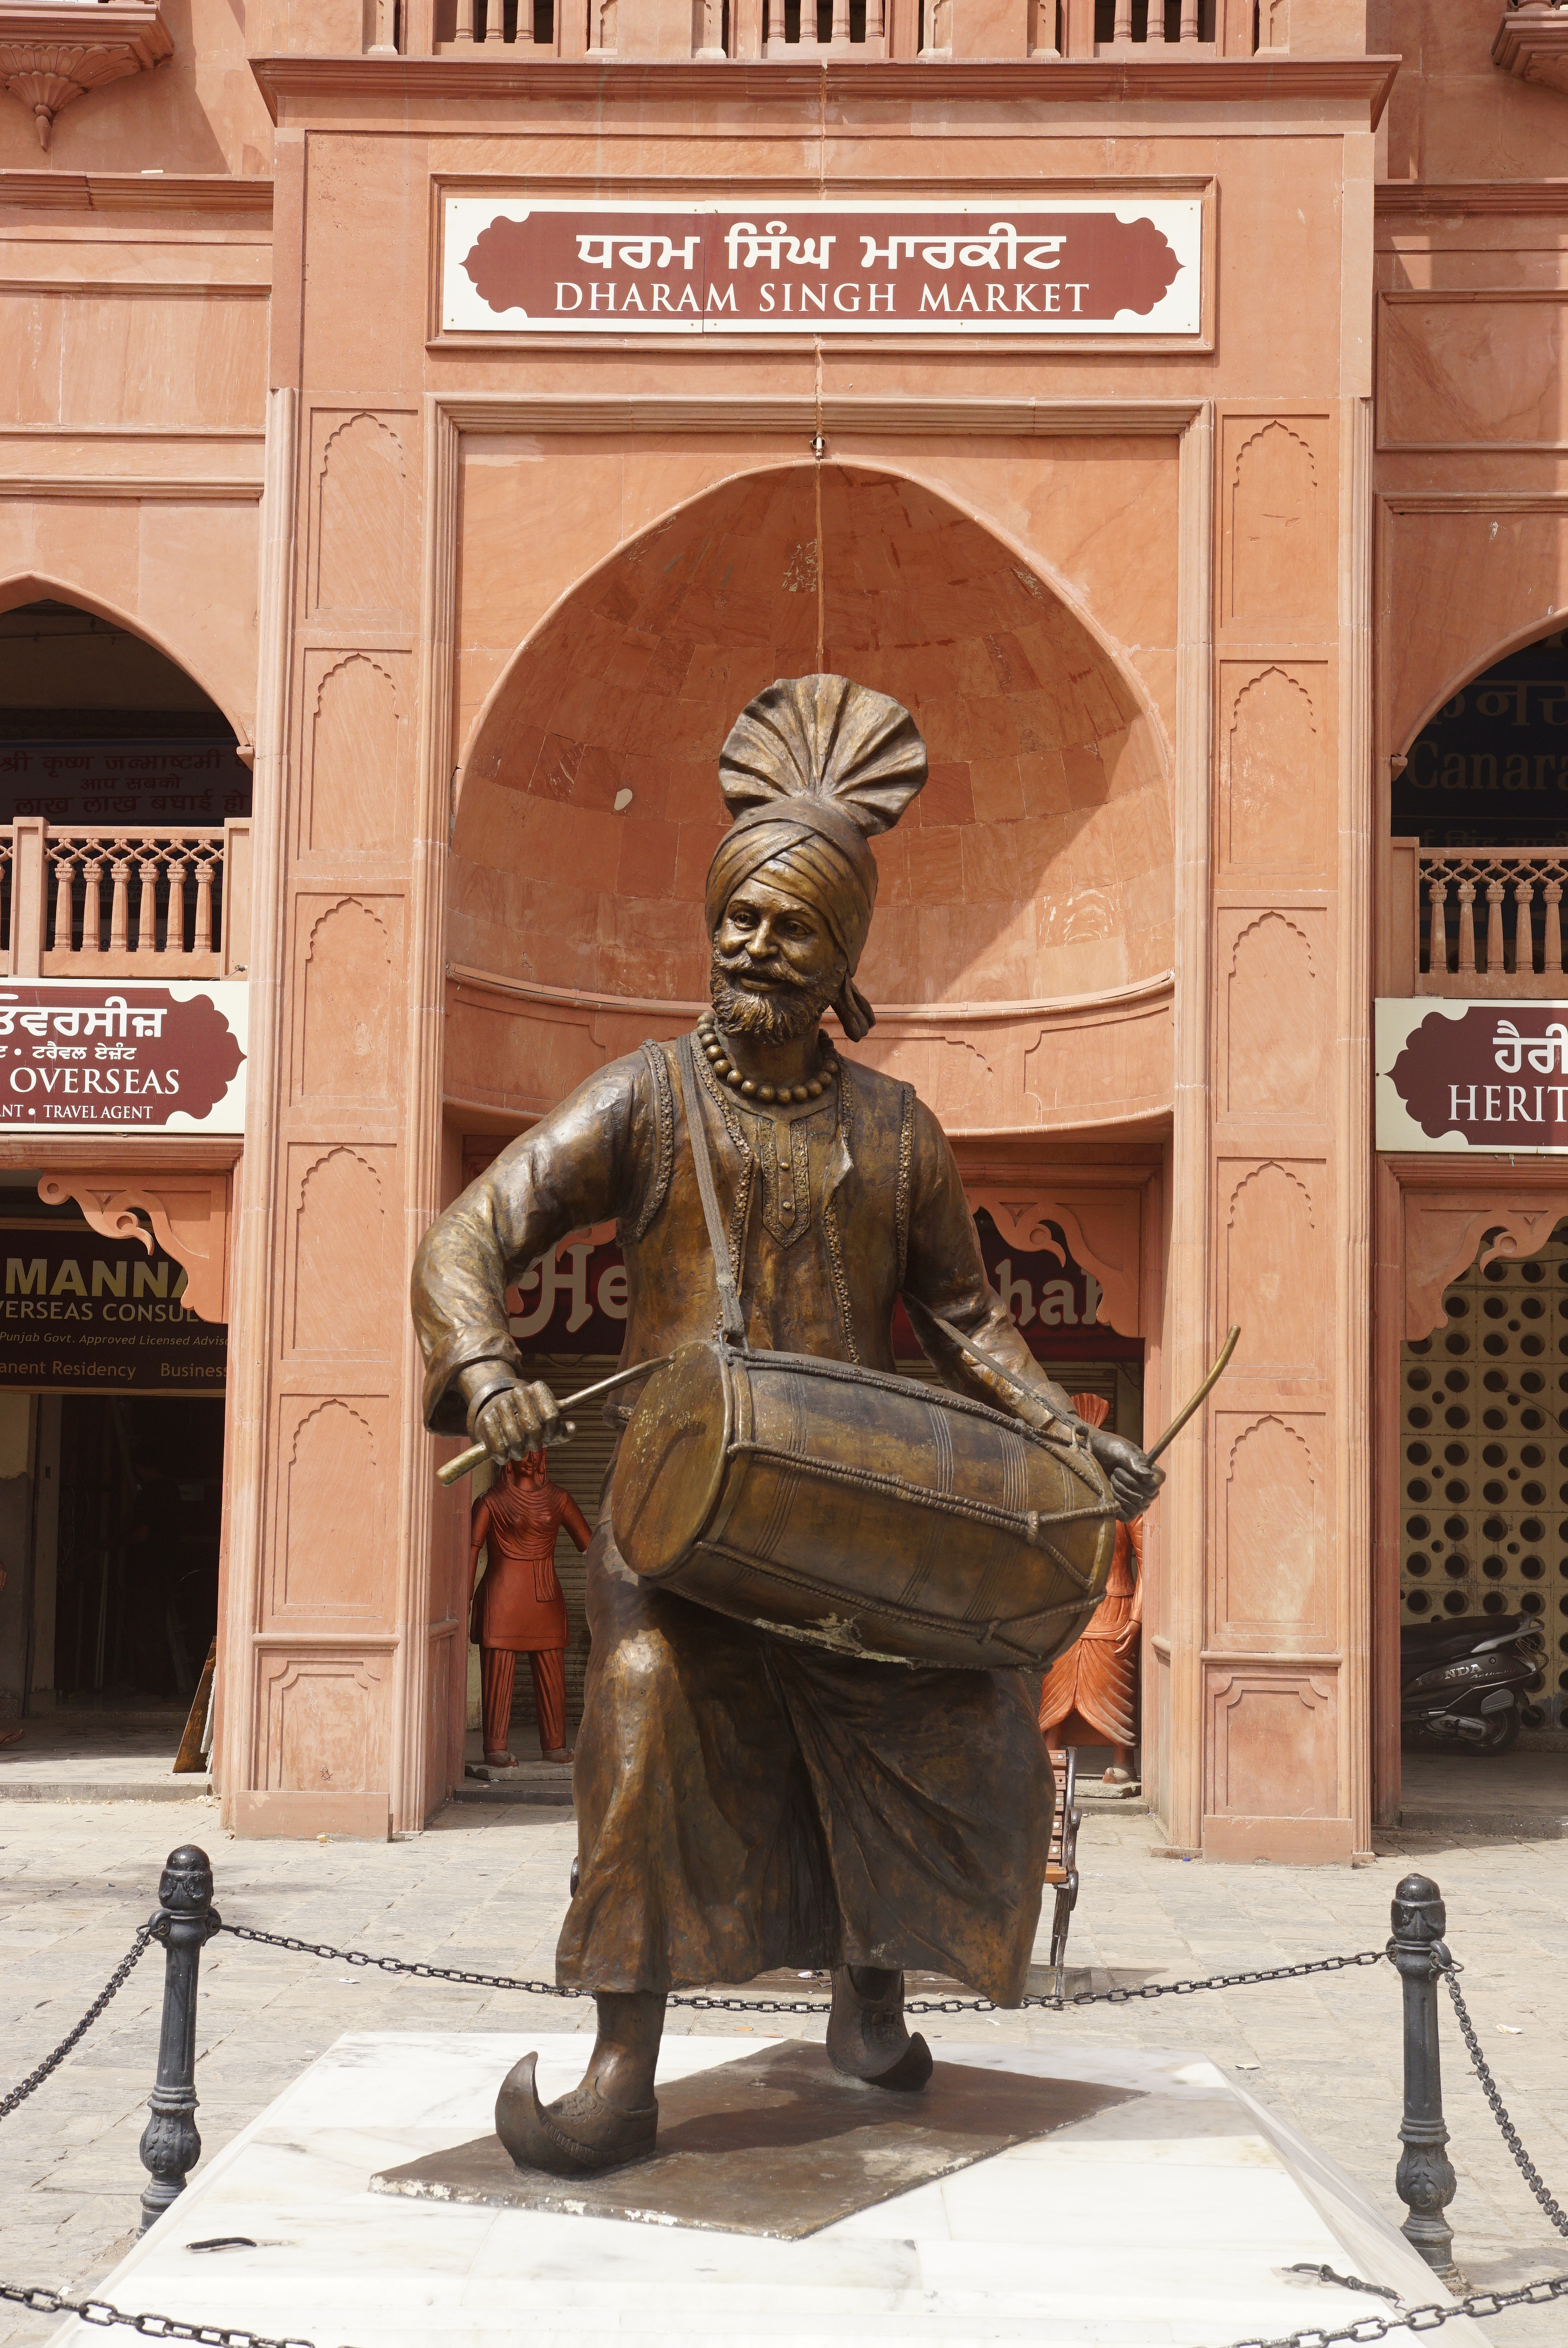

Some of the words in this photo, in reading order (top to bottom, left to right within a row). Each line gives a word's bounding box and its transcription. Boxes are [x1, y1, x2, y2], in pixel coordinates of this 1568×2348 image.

[569, 220, 708, 274] ਧਰਮ
[715, 214, 844, 276] ਸਿੰਘ
[846, 216, 1077, 272] ਮਾਰਕੀਟ
[545, 269, 744, 319] DHARAM
[752, 275, 902, 318] SINGH
[911, 276, 1096, 320] MARKET
[2, 748, 35, 780] श्री
[33, 746, 96, 782] कृष्ण
[95, 744, 228, 775] जन्माष्टमी
[72, 775, 123, 792] आप
[122, 772, 189, 794] सबको
[10, 792, 79, 816] लाख
[78, 793, 148, 818] लाख
[143, 783, 219, 818] बधाई
[217, 783, 249, 816] ਏ
[0, 989, 177, 1043] ਓਵਰਸੀਜ਼
[25, 1040, 92, 1063] ਟਰੈਵਲ
[87, 1038, 141, 1064] ਏਜ਼ੰਟ
[1482, 1012, 1567, 1080] ਹੈਰੀ
[3, 1059, 186, 1098] OVERSEAS
[35, 1098, 99, 1122] TRAVEL
[99, 1099, 156, 1123] AGENT
[1440, 1078, 1567, 1132] HERIT
[2, 1255, 172, 1301] MANN
[3, 1297, 96, 1322] ERSEAS
[100, 1300, 202, 1328] CONSUL
[0, 1329, 43, 1346] Punjab
[41, 1329, 74, 1348] Govt.
[74, 1327, 140, 1349] Approved
[137, 1329, 193, 1350] Licensed
[47, 1353, 141, 1384] Residency
[154, 1357, 227, 1384] Business